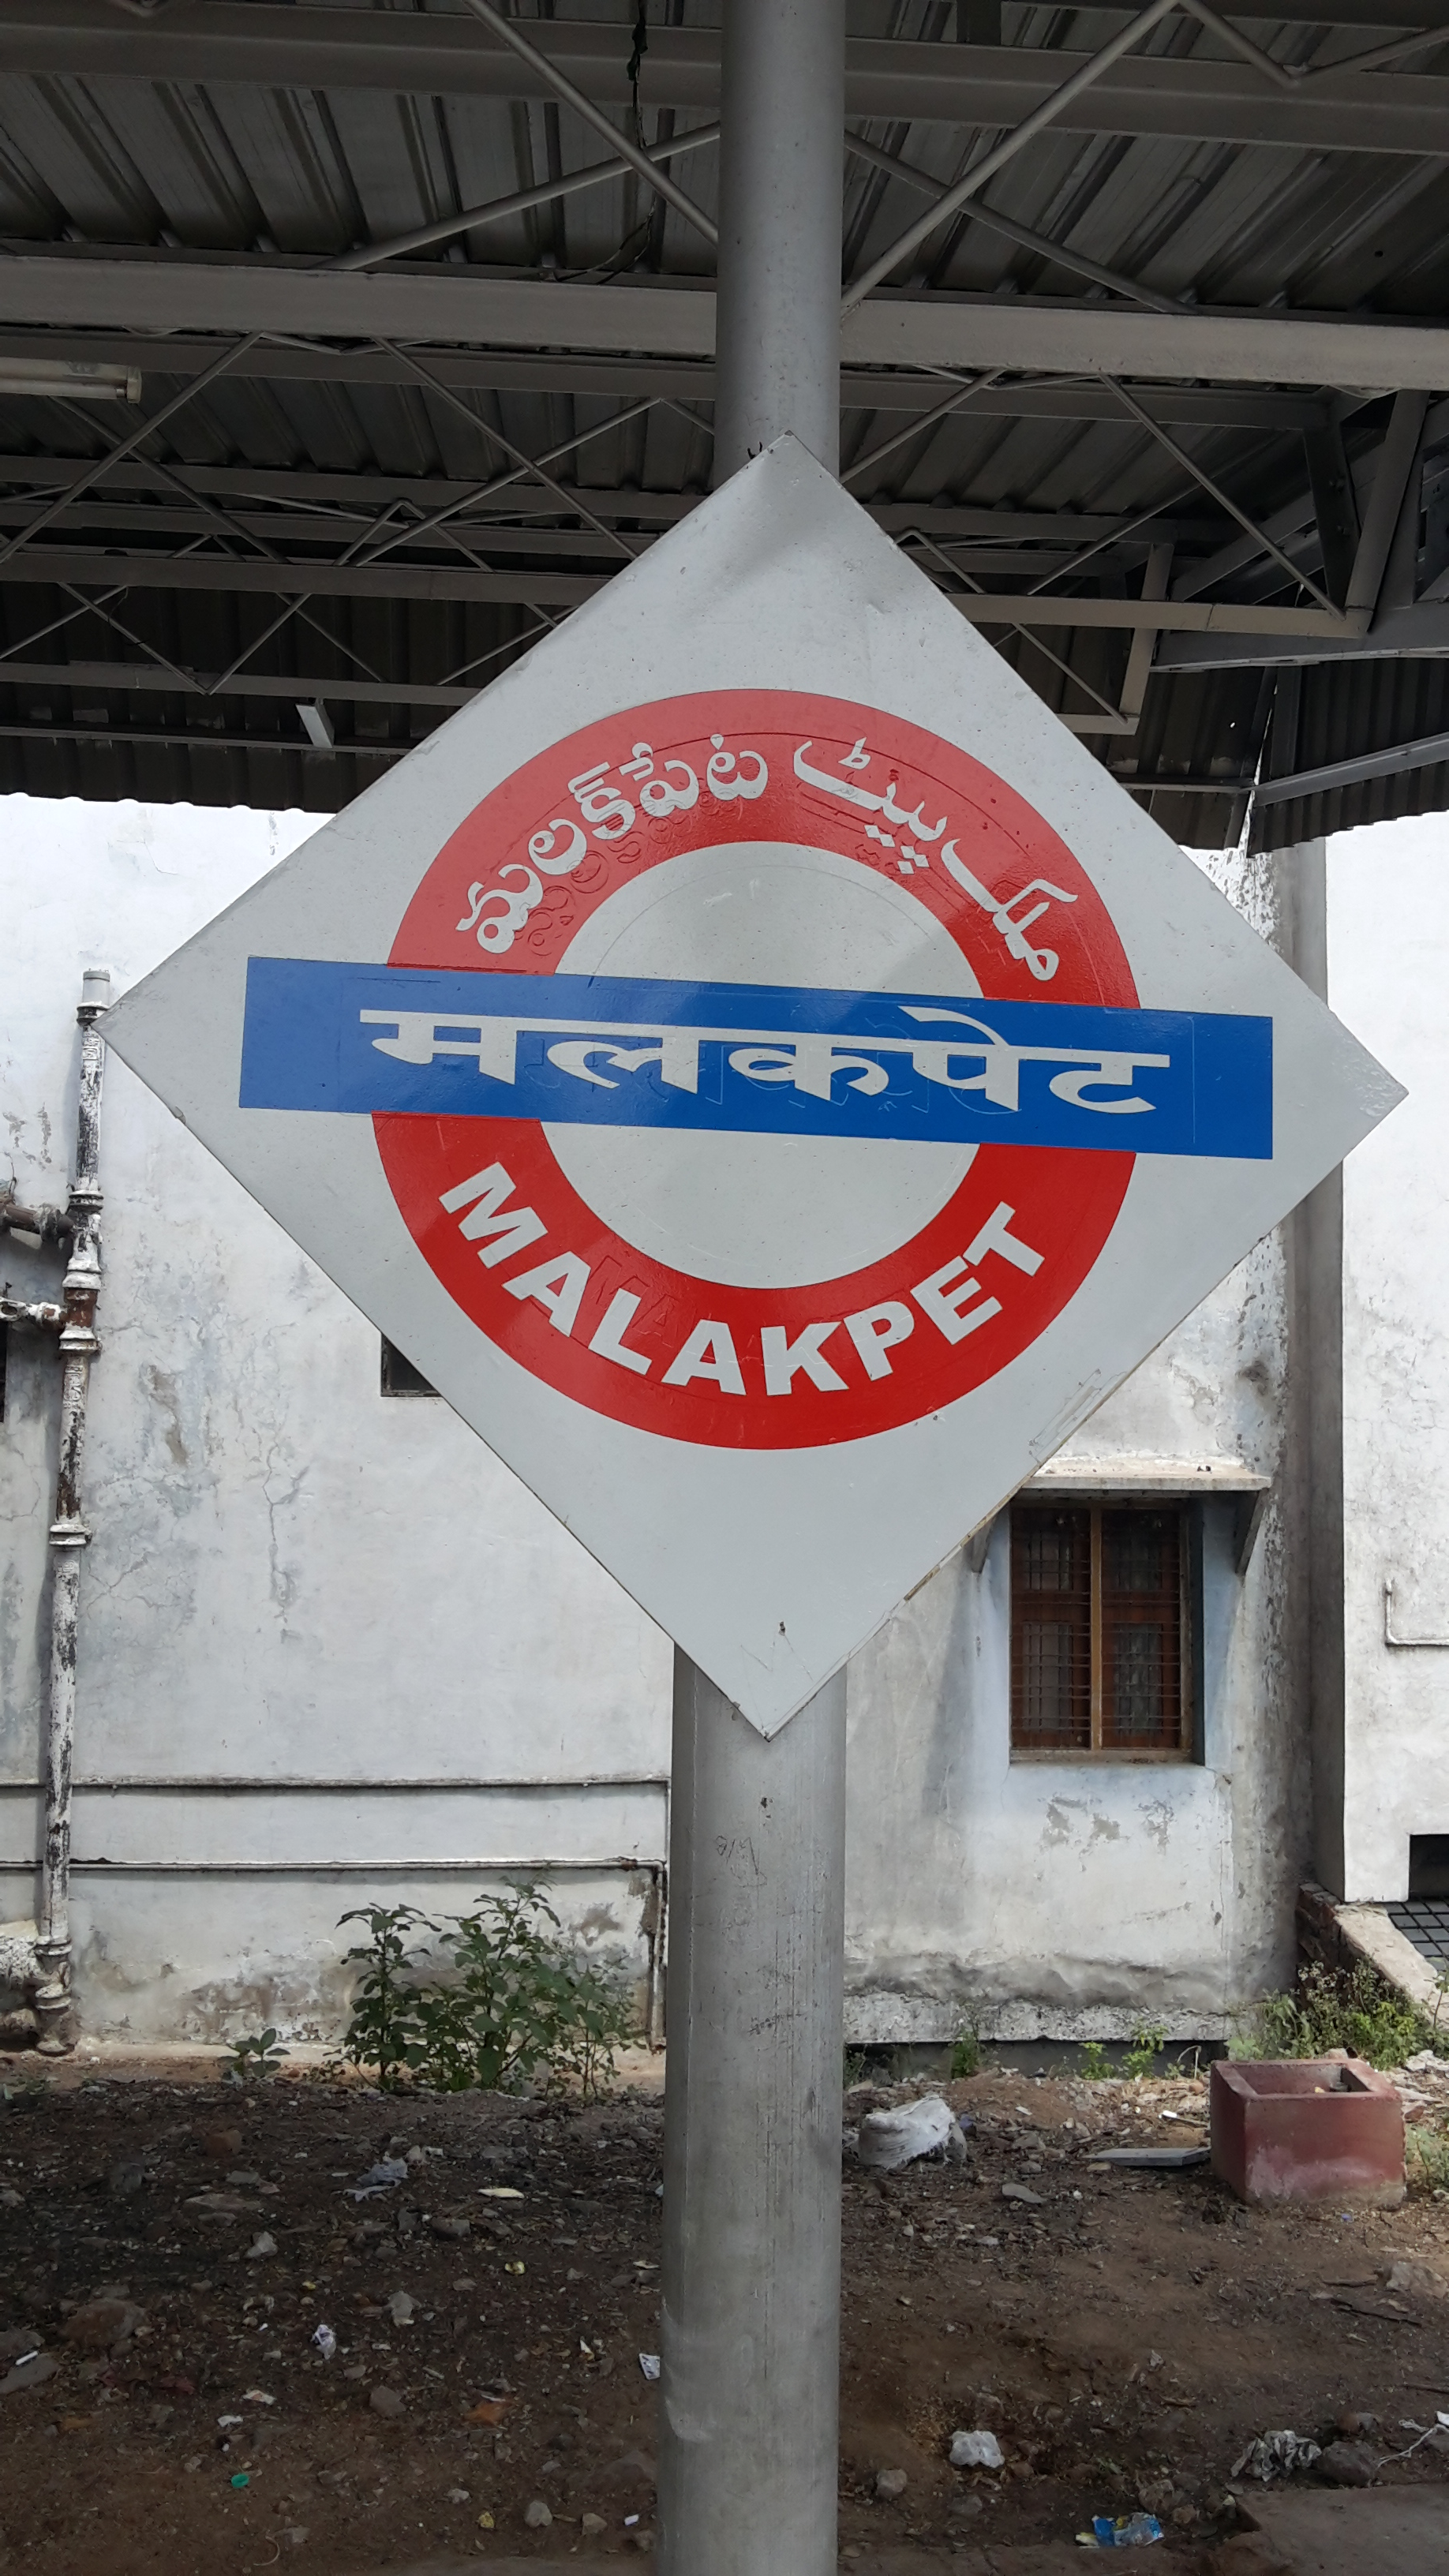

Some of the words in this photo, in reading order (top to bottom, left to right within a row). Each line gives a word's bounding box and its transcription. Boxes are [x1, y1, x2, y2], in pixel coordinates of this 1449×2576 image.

[440, 727, 779, 966] మలక్పేట
[358, 989, 1177, 1121] मलकपेट
[425, 1150, 1050, 1402] MALAKPET